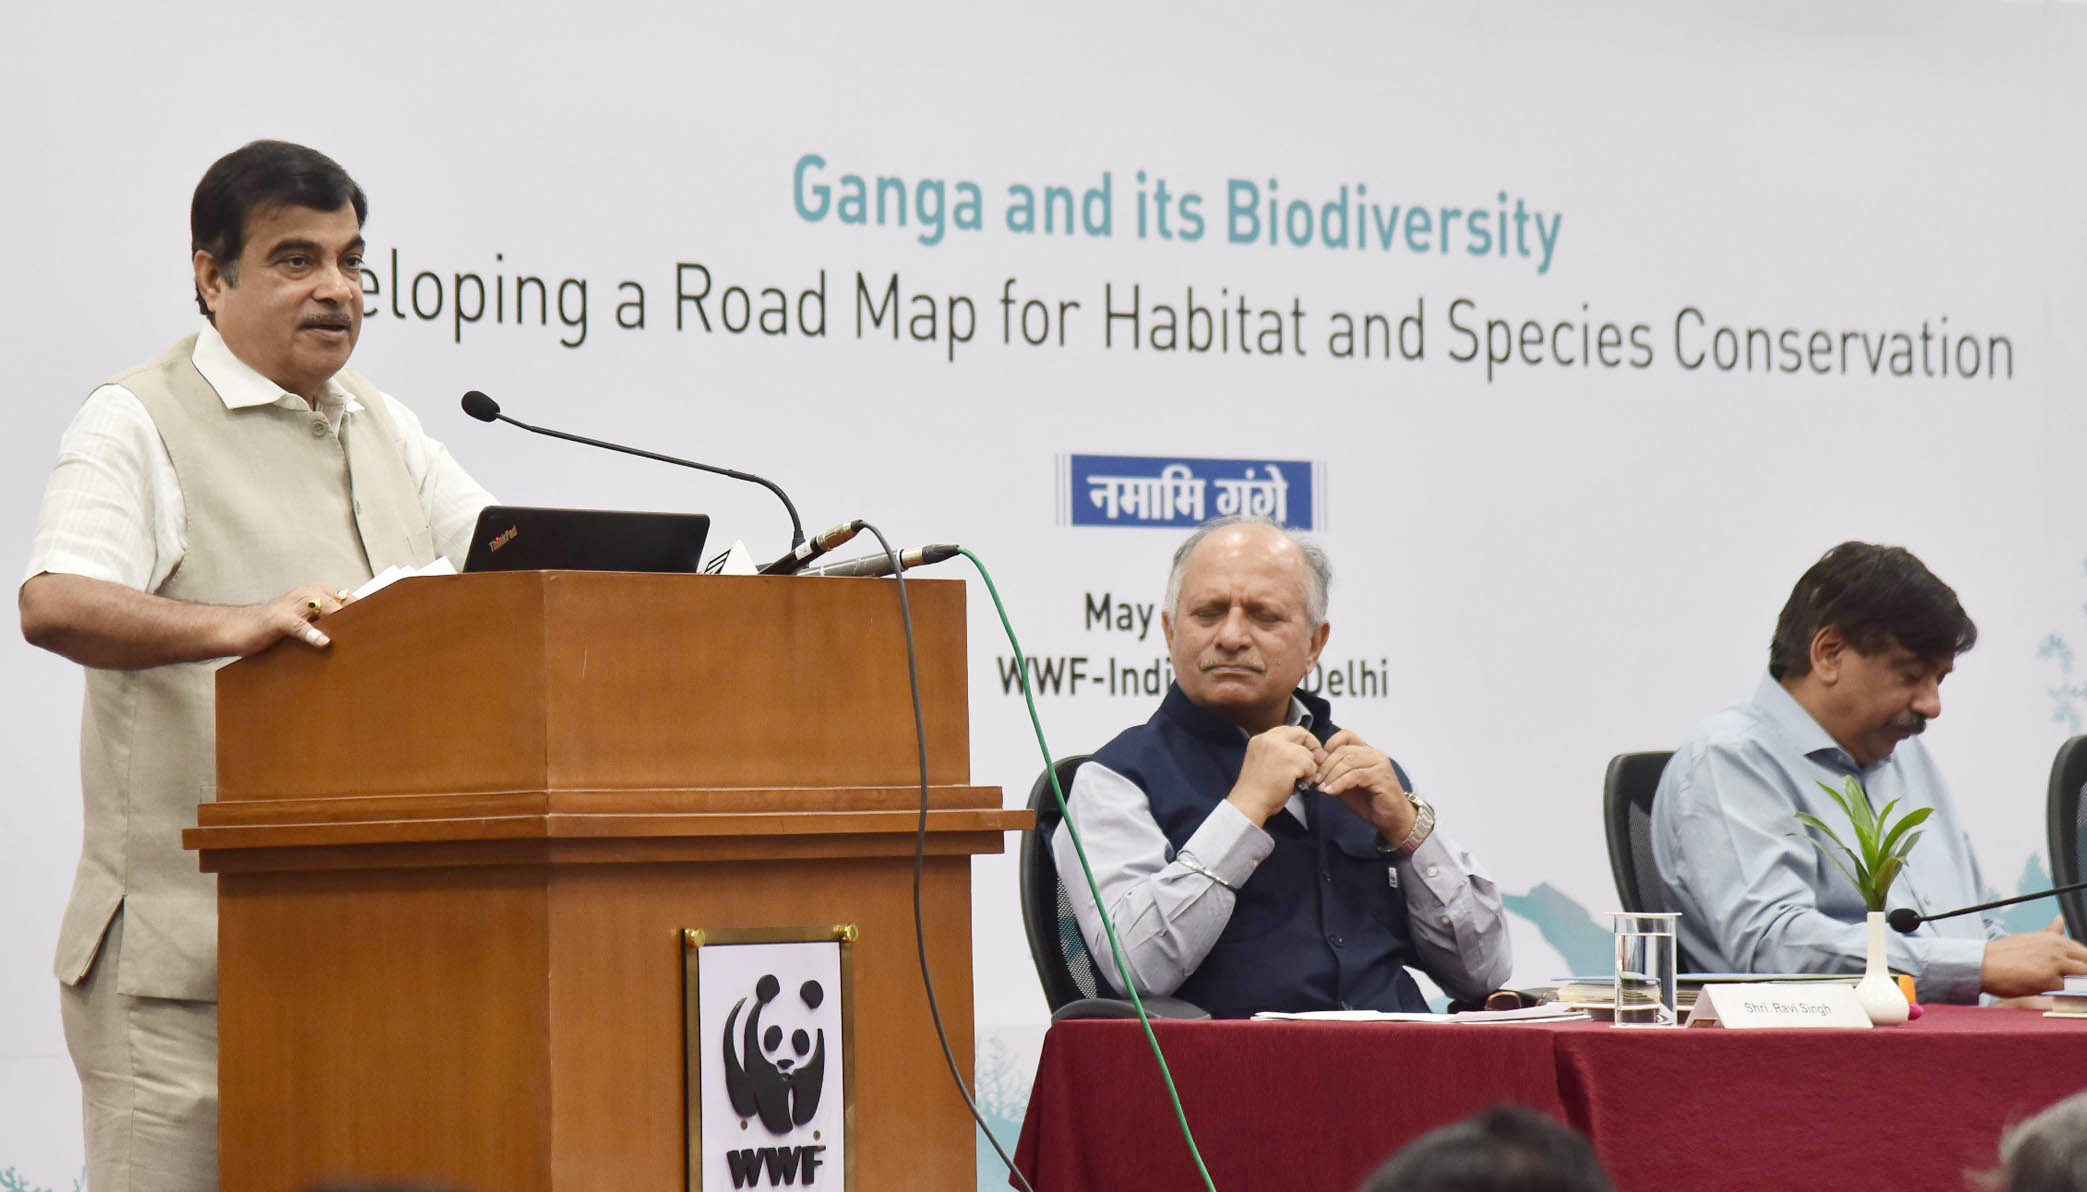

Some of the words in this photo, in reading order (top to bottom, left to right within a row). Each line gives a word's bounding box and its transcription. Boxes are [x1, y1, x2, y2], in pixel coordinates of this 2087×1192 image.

[789, 147, 989, 255] Ganga
[997, 167, 1117, 241] and
[1128, 164, 1212, 251] its
[1219, 169, 1569, 281] Biodiversity
[372, 243, 595, 353] loping
[608, 272, 654, 342] a
[665, 256, 838, 348] Road
[848, 259, 983, 368] Map
[991, 274, 1085, 358] for
[1102, 277, 1315, 362] Habitat
[1320, 288, 1436, 371] and
[1441, 293, 1659, 392] Species
[1669, 301, 2018, 383] Conservation
[1083, 456, 1209, 525] नमामि
[1213, 459, 1297, 528] गंगे
[1080, 588, 1158, 643] May
[991, 651, 1093, 699] WWF
[1102, 651, 1171, 708] Indi
[1303, 654, 1395, 703] Delhi
[1737, 999, 1777, 1017] Shri.
[1771, 996, 1805, 1019] Ravi
[1795, 997, 1837, 1023] Singh